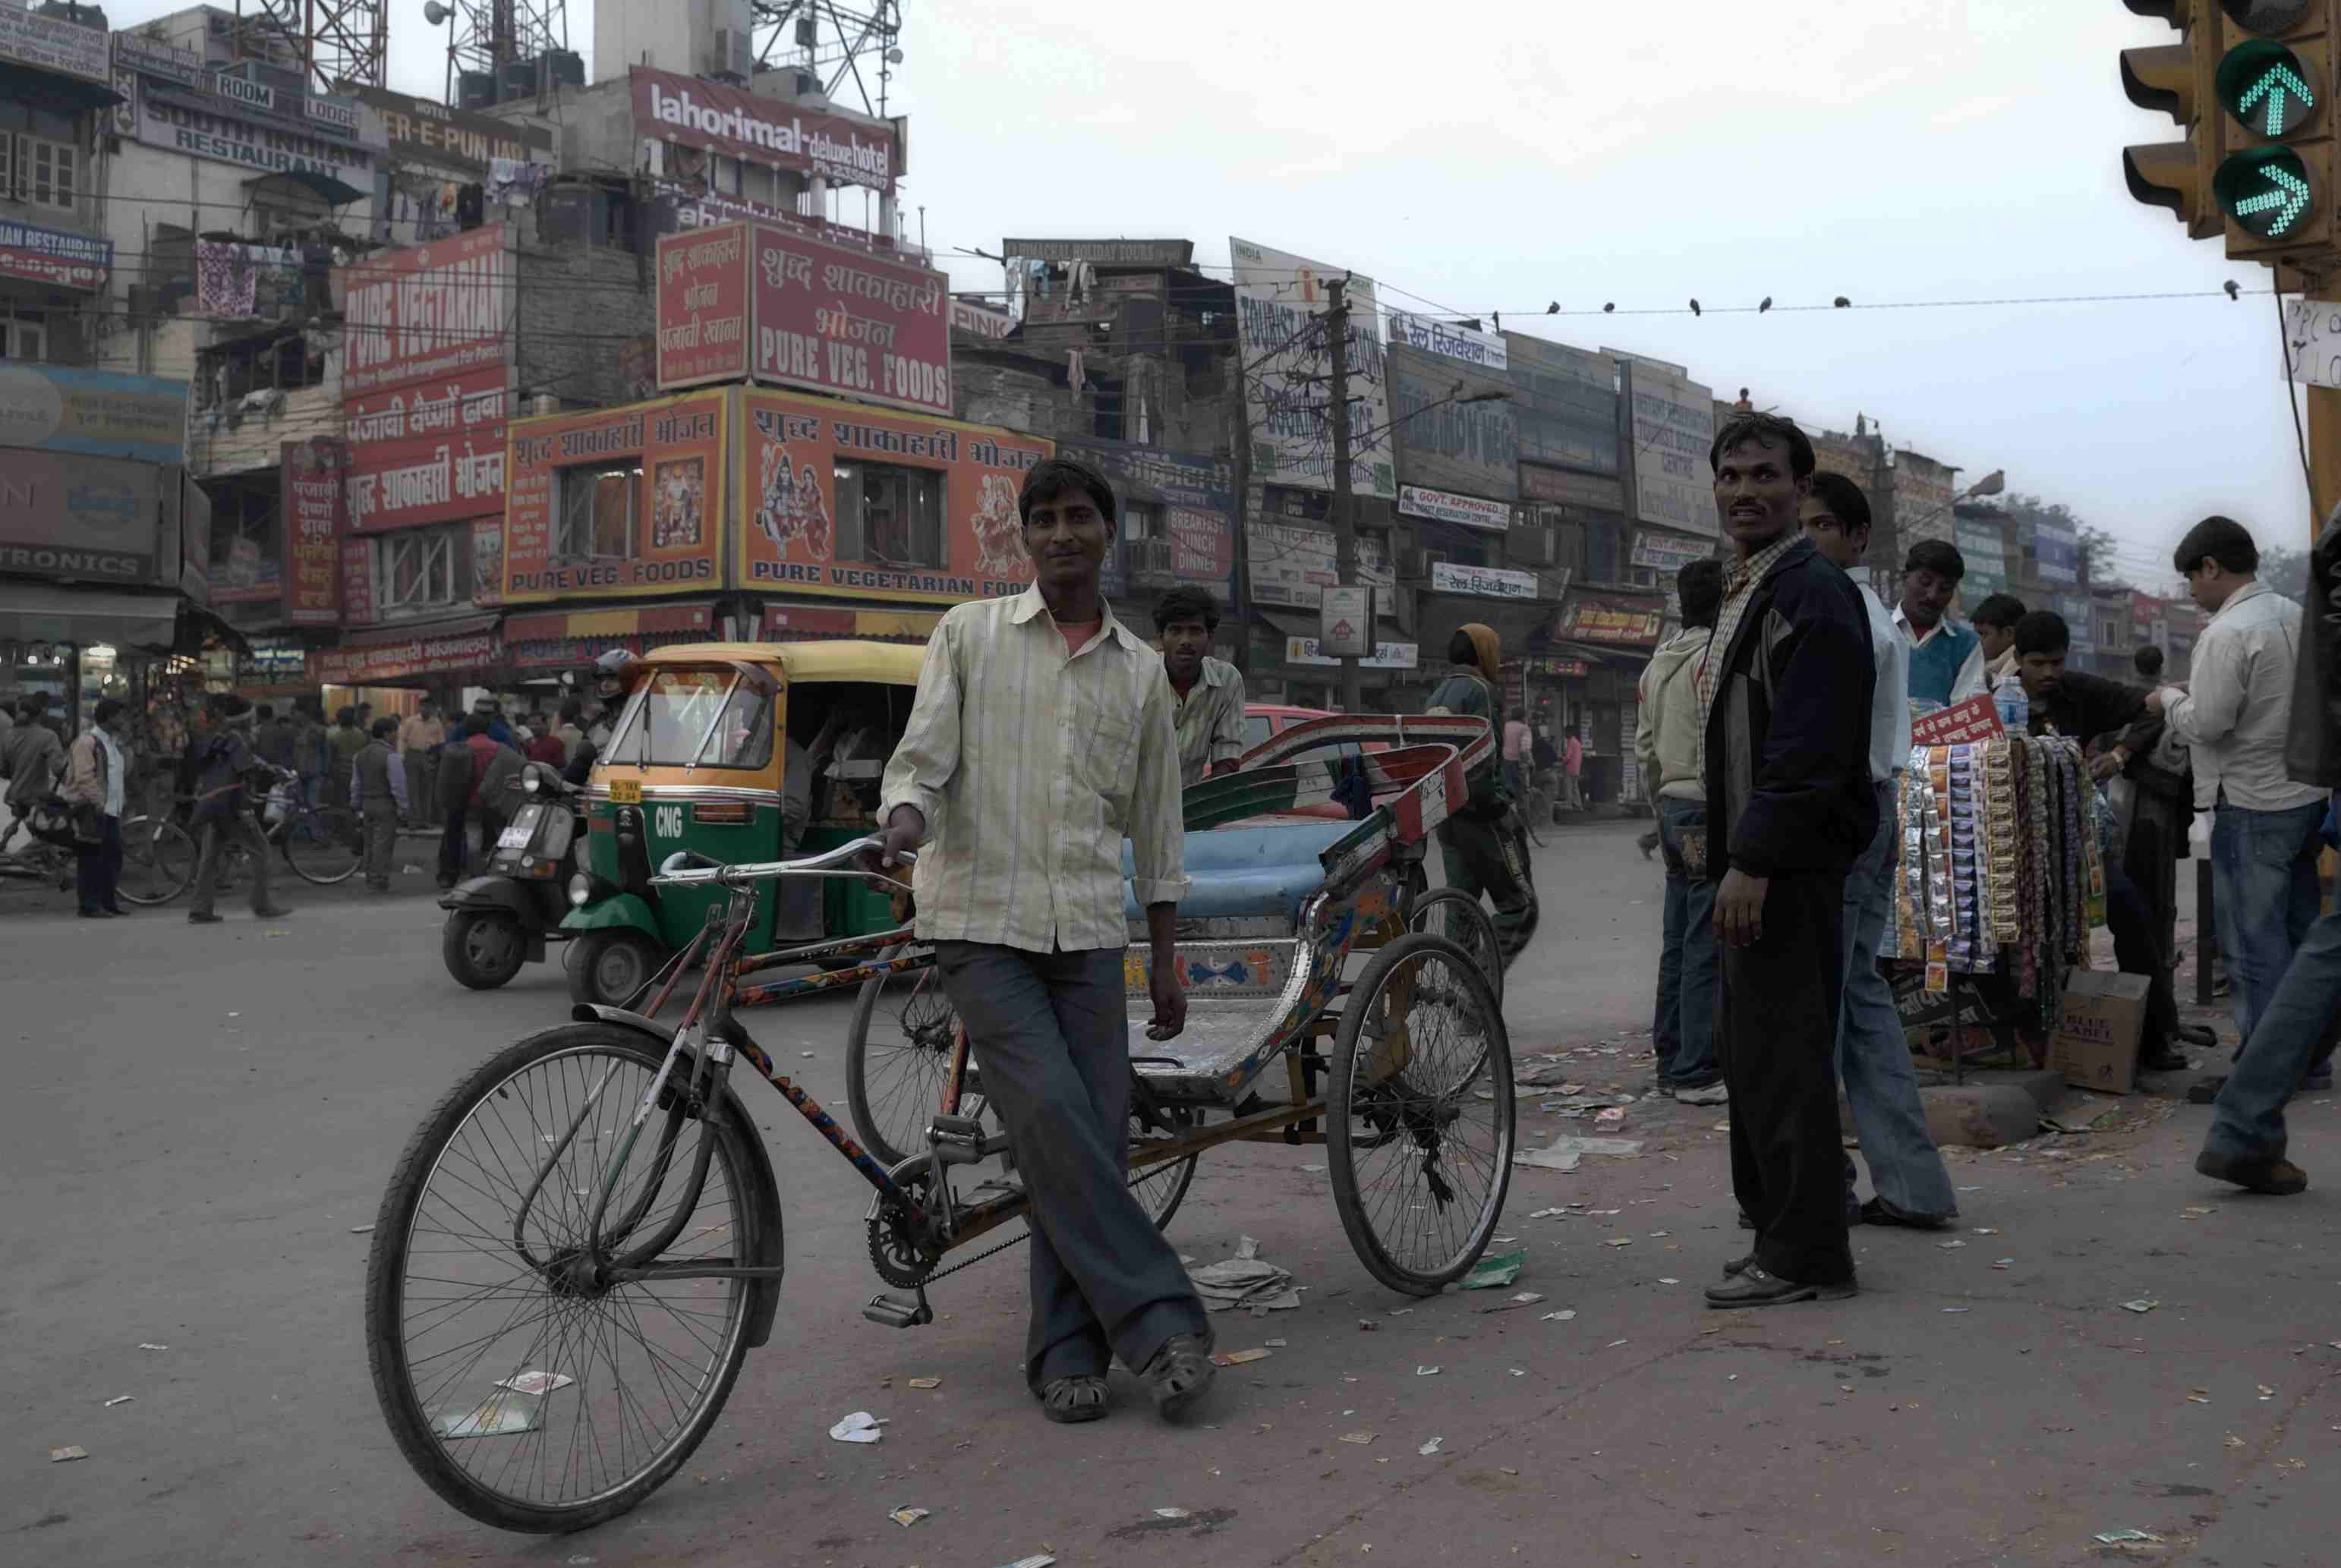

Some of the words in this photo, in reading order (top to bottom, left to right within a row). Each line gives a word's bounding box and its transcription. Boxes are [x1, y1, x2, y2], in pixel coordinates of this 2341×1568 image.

[216, 71, 275, 109] ROOM
[141, 93, 263, 149] SOUTH
[647, 80, 805, 156] lahorimal
[174, 124, 343, 186] RESTAURANT
[263, 124, 374, 177] INDIAN
[808, 124, 896, 179] deluxehotel
[341, 468, 382, 532] शुद्ध
[336, 279, 395, 374] PURE
[340, 390, 408, 446] पंजाबी
[379, 439, 455, 518] शाकाहारी
[403, 378, 462, 437] वैष्णों
[387, 245, 509, 364] VEGTARIAN
[449, 437, 509, 505] भोजन
[458, 379, 510, 430] ढाबा
[511, 433, 553, 474] शुध्द
[505, 565, 572, 598] PURE
[572, 562, 620, 588] VEG
[553, 406, 647, 462] शाकाहारी
[628, 553, 713, 587] FOODS
[658, 240, 688, 289] शुद्ध
[657, 309, 704, 357] पंजाबी
[649, 401, 716, 452] भोजन
[676, 271, 720, 316] भोजन
[684, 221, 744, 276] शाकाहारी
[701, 313, 745, 348] खाना
[751, 403, 825, 450] शुद्ध
[752, 558, 825, 584] PURE
[756, 321, 822, 386] PURE
[761, 242, 818, 298] शुध्द
[824, 336, 877, 396] VEG.
[808, 295, 900, 354] भोजन
[818, 258, 944, 319] शाकाहारी
[831, 415, 962, 468] शाकाहारी
[829, 560, 977, 598] VEGETARIAN
[881, 348, 951, 412] FOODS
[965, 432, 1046, 482] भोजन
[1174, 526, 1219, 556] LUNCH
[1167, 508, 1230, 536] BREAKFAST
[1177, 546, 1223, 576] DINNER
[1401, 310, 1434, 354] रेल
[1415, 486, 1451, 508] GOVT.
[1441, 567, 1472, 593] रेल
[1428, 313, 1489, 367] रिजर्वेशन
[1444, 491, 1505, 518] APPROVED
[1467, 571, 1525, 599] रिजर्वशन